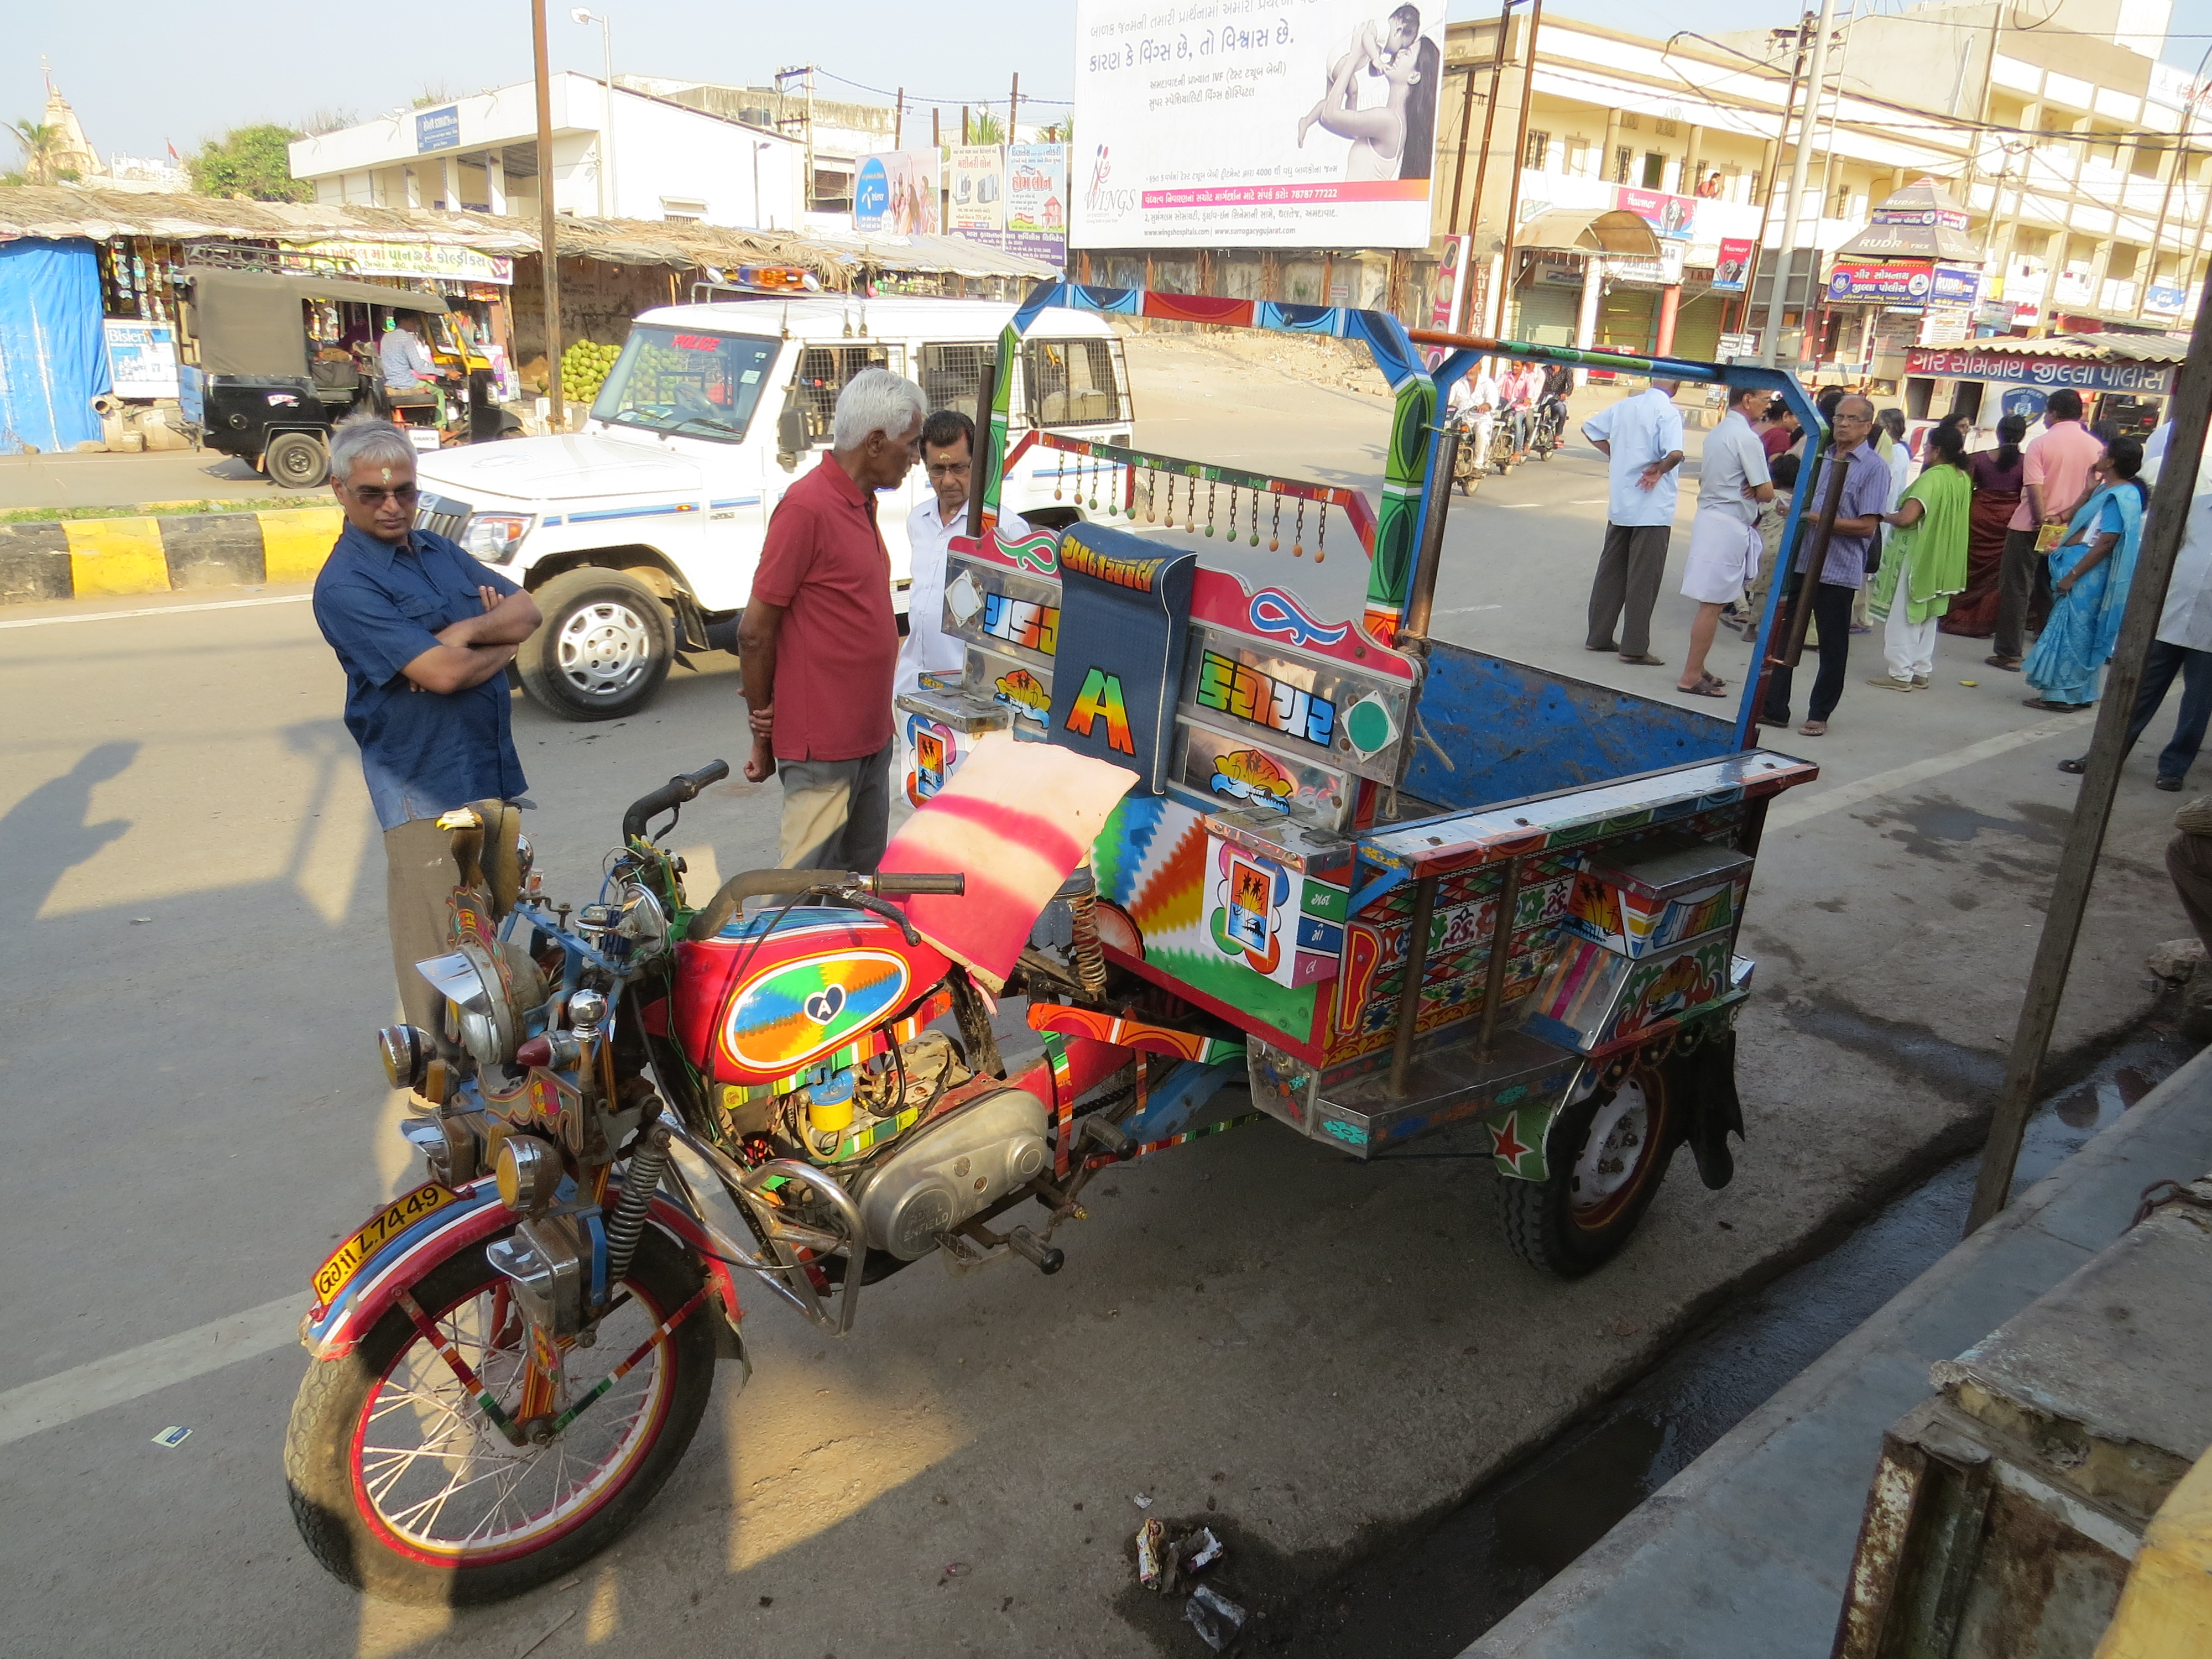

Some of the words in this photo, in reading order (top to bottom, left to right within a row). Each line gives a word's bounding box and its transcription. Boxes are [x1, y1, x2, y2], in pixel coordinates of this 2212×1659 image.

[1086, 51, 1124, 76] કારણ
[1122, 39, 1138, 74] કે
[1136, 35, 1172, 65] વિંગ્સ
[1174, 29, 1193, 62] છે
[1196, 25, 1219, 59] તો
[1217, 19, 1273, 56] વિશ્વાસ
[1273, 14, 1296, 46] છે,
[1010, 166, 1032, 192] હોમ
[1030, 167, 1055, 193] લોન
[1625, 191, 1659, 210] Havmor
[367, 243, 387, 262] માં
[388, 248, 414, 265] પાન
[420, 249, 435, 266] &
[435, 247, 470, 269] કો૯ડ્રી
[468, 251, 488, 272] કસ
[1849, 282, 1876, 294] જીલ્લા
[1854, 267, 1873, 281] ગીર
[1854, 236, 1913, 251] RUDRA
[1871, 267, 1911, 282] સોમનાથ
[1876, 279, 1907, 295] પોલીસ
[107, 328, 150, 345] Bisleri
[664, 328, 724, 358] POLICE
[1912, 348, 1949, 373] ગીર
[1948, 350, 2028, 385] સોમનાથ
[2028, 360, 2098, 386] જી૯લા
[2098, 359, 2170, 394] પોલીસ
[1195, 648, 1341, 750] કેરીયર
[1062, 667, 1143, 761] A
[1307, 891, 1334, 909] અન
[1306, 921, 1327, 945] મી
[1305, 957, 1319, 975] લ
[314, 1182, 448, 1300] GJ.11.Z.7449